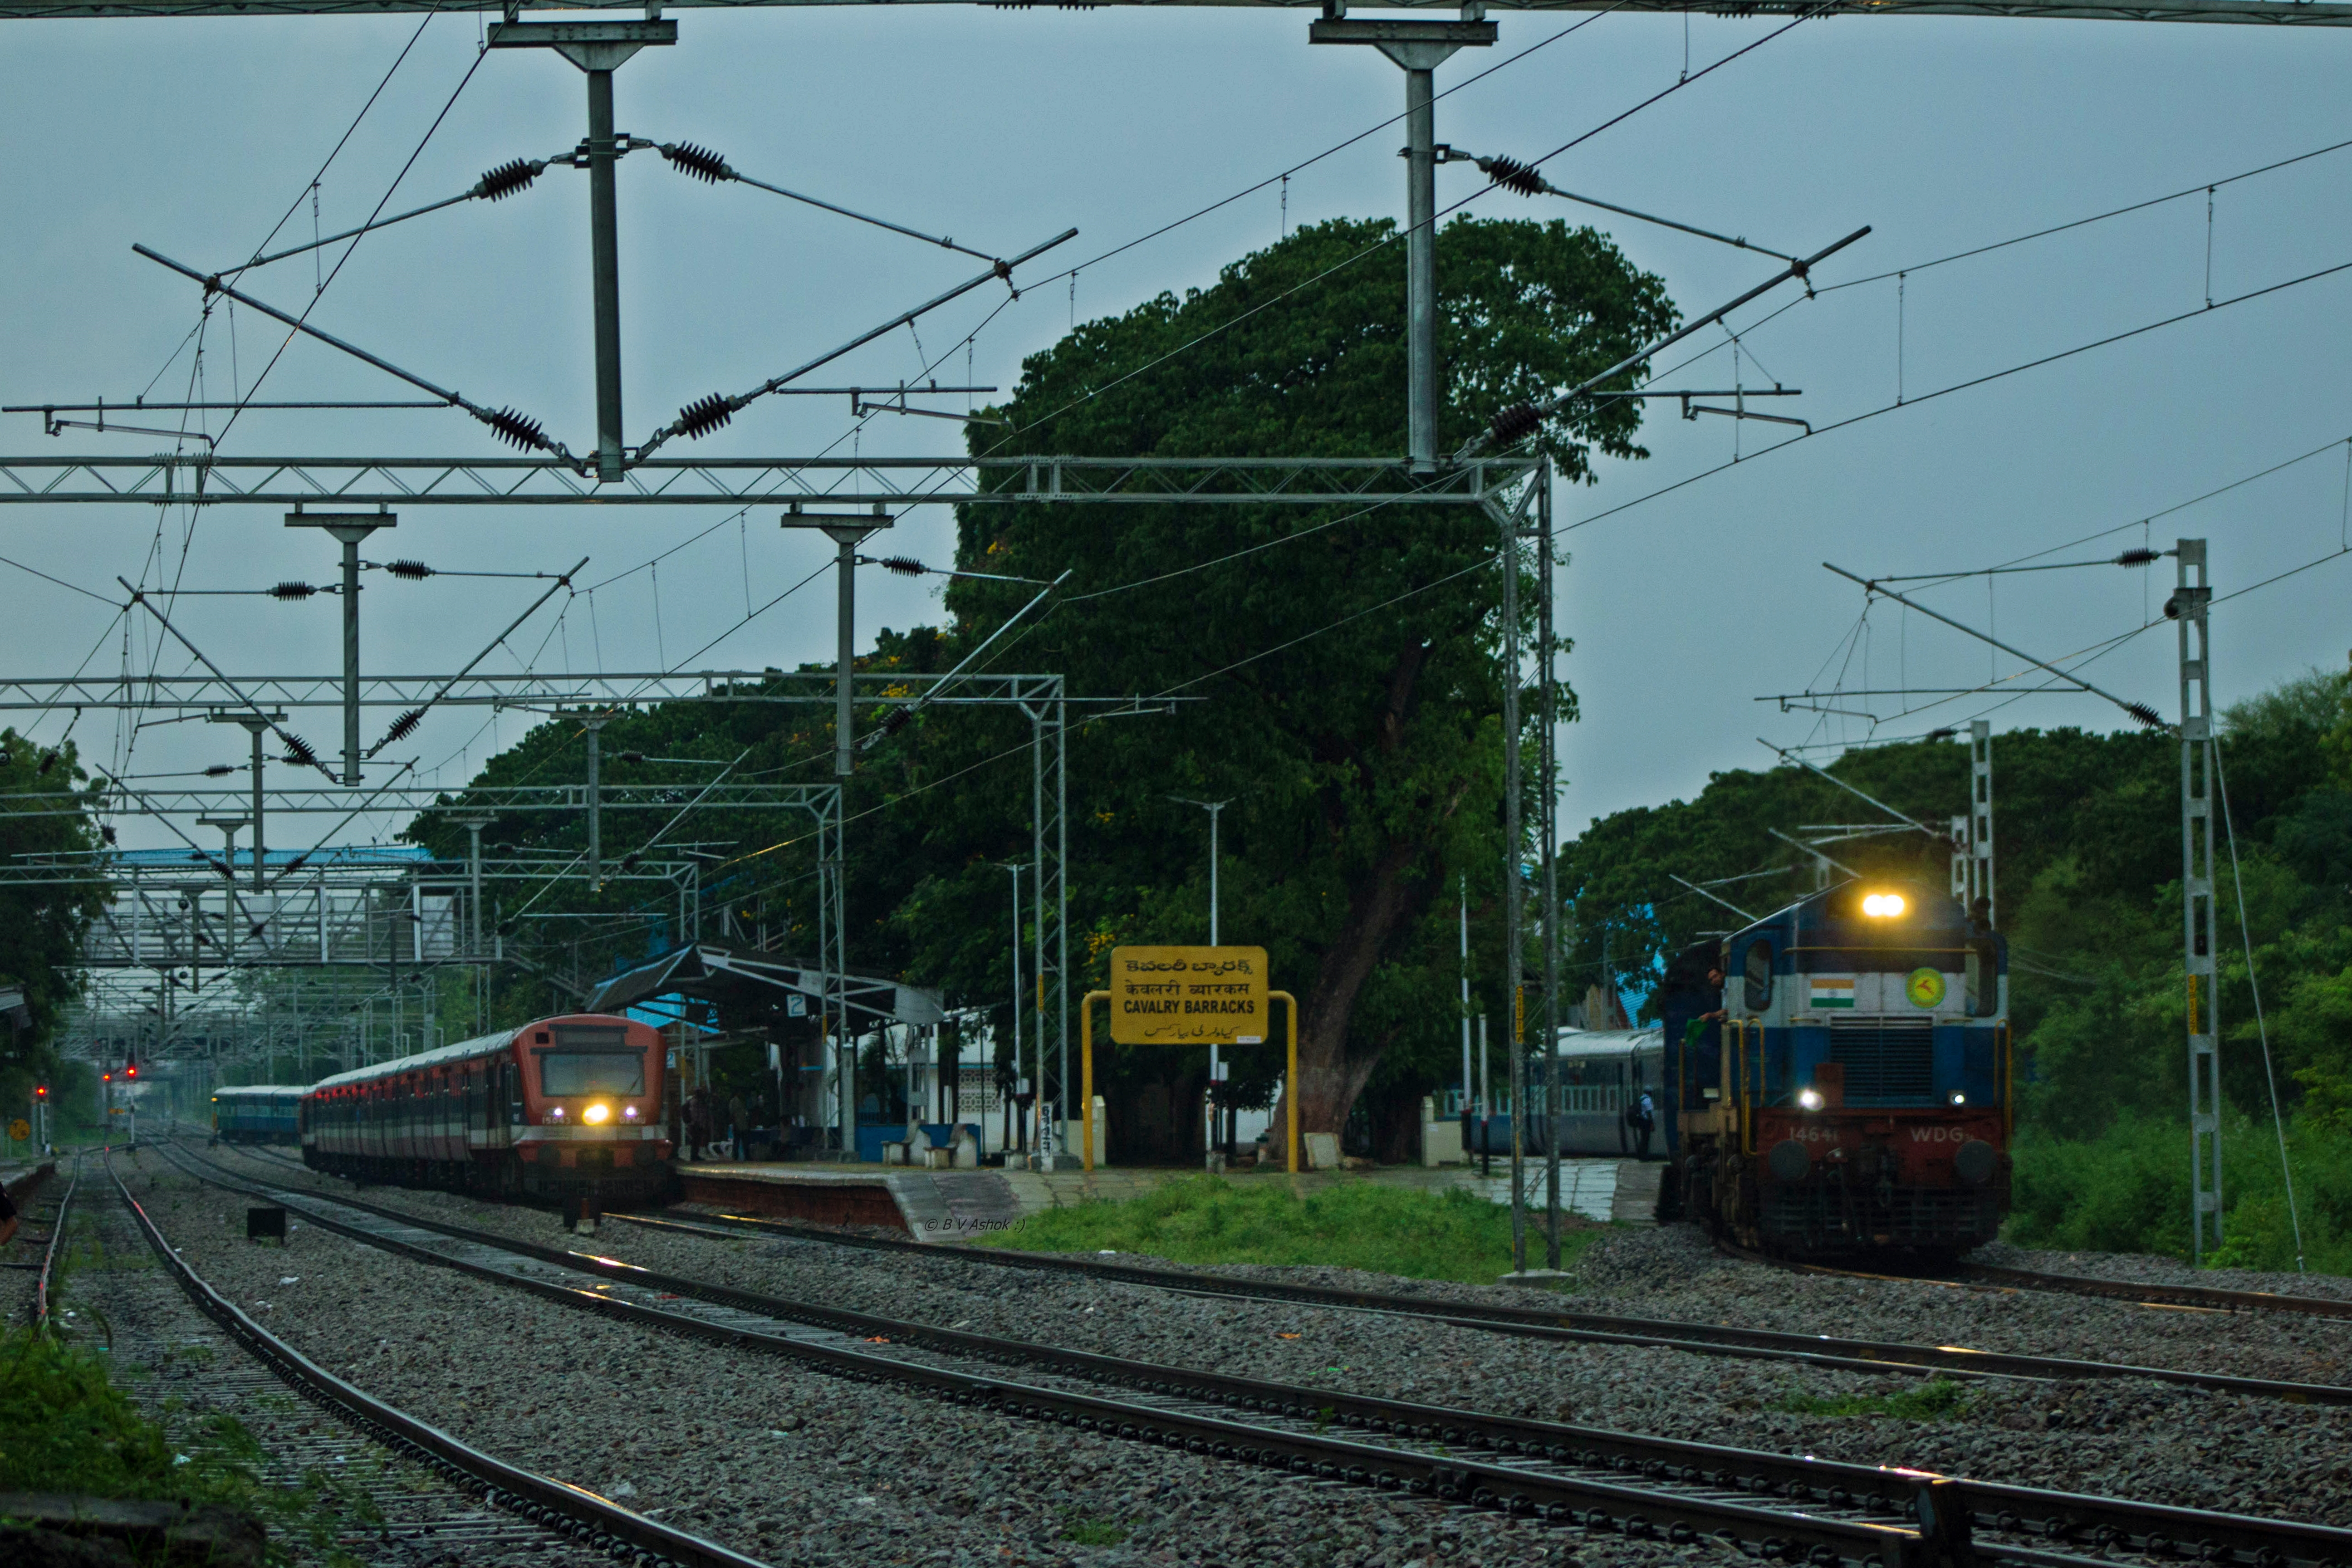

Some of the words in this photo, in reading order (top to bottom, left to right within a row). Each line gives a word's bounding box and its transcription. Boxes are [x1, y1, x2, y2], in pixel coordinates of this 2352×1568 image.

[1122, 956, 1189, 975] కెవలరీ
[1189, 955, 1255, 978] బ్యారక్స్
[1121, 974, 1184, 997] केवलरी
[1187, 980, 1253, 1000] ब्यारकस
[1123, 998, 1182, 1017] CAVALRY
[1182, 996, 1257, 1015] BARRACKS